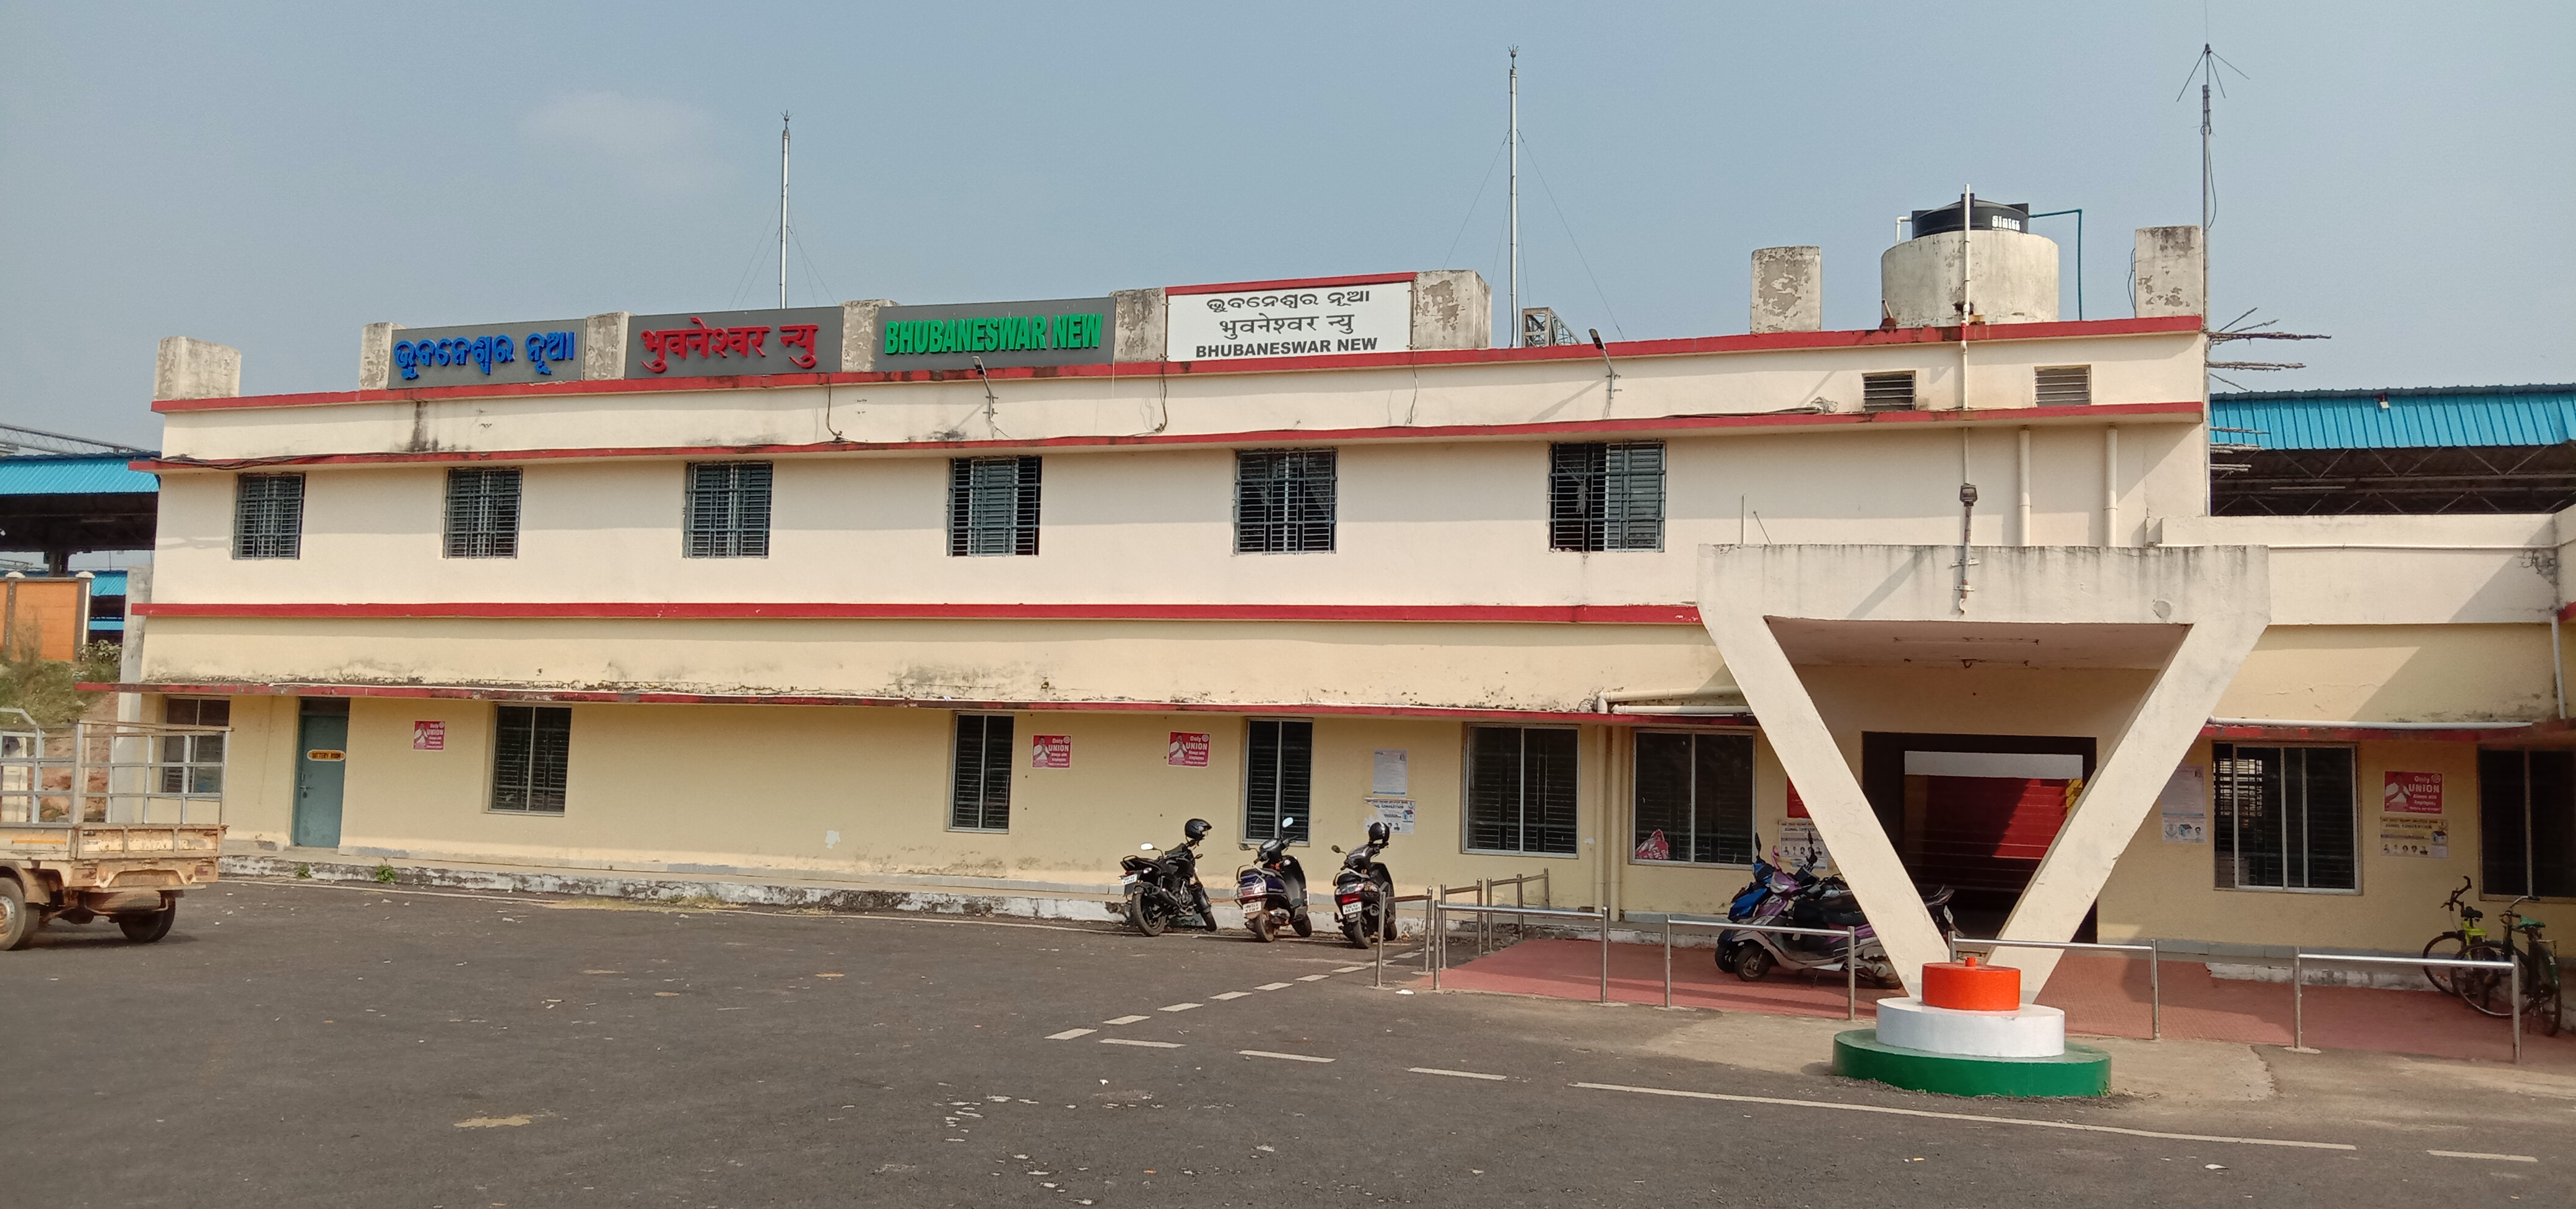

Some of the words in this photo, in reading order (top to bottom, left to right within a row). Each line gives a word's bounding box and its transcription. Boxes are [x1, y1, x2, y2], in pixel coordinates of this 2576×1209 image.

[1201, 290, 1320, 317] ଭୁବନେଶ୍ୱର
[1323, 287, 1373, 311] ନୂଆ
[391, 333, 516, 382] ଭୁବନେଶ୍ୱର
[521, 326, 577, 378] ଜୂଆ
[637, 308, 770, 378] भुवनेश्‍वर
[778, 319, 819, 371] न्यु
[882, 309, 1050, 357] BHUBANESWAR
[1051, 306, 1105, 351] NEW
[1192, 338, 1333, 359] BHUBANESWAR
[1219, 306, 1320, 343] भुवनेश्‍वर
[1325, 312, 1357, 338] न्यु
[1333, 332, 1380, 353] NEW
[1048, 733, 1064, 747] Day
[1042, 740, 1071, 755] UNION
[1180, 740, 1209, 751] UNION
[1188, 732, 1205, 743] Only
[2407, 782, 2442, 795] UNION